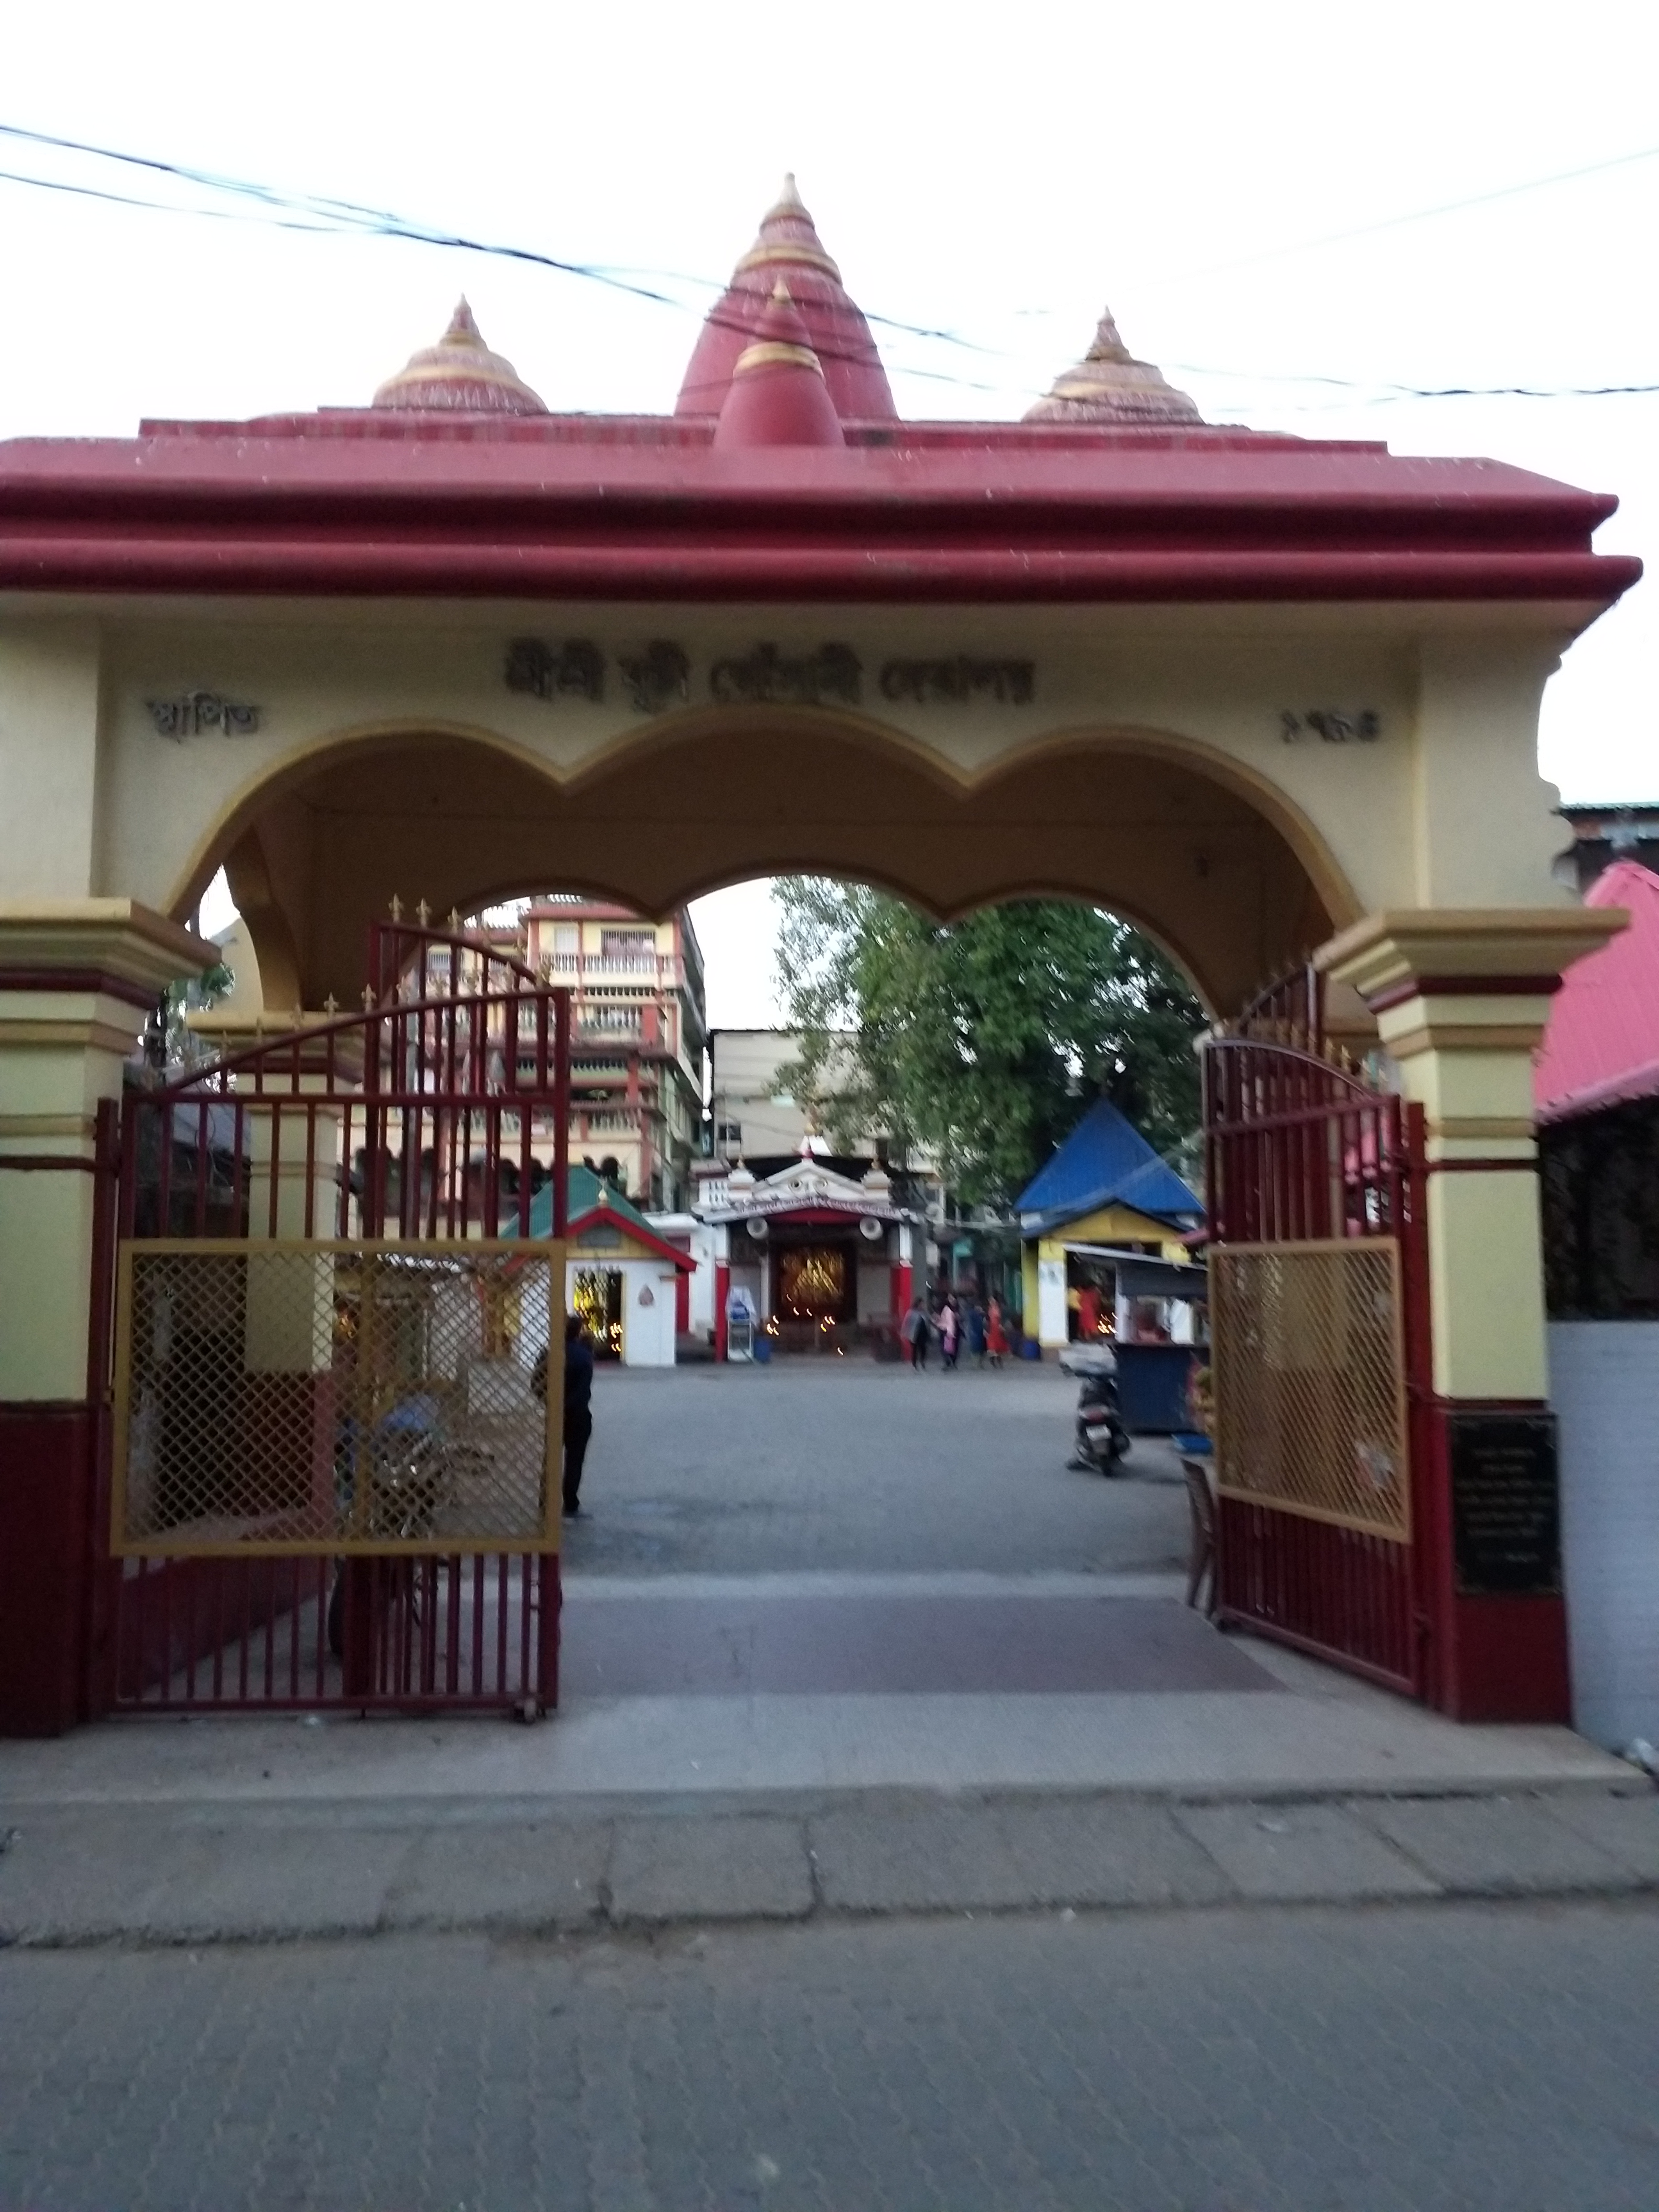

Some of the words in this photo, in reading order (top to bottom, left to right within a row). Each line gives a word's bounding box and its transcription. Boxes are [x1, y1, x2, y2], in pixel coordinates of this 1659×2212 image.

[499, 623, 617, 717] শ্রীশ্রী
[140, 684, 268, 757] স্থপিত